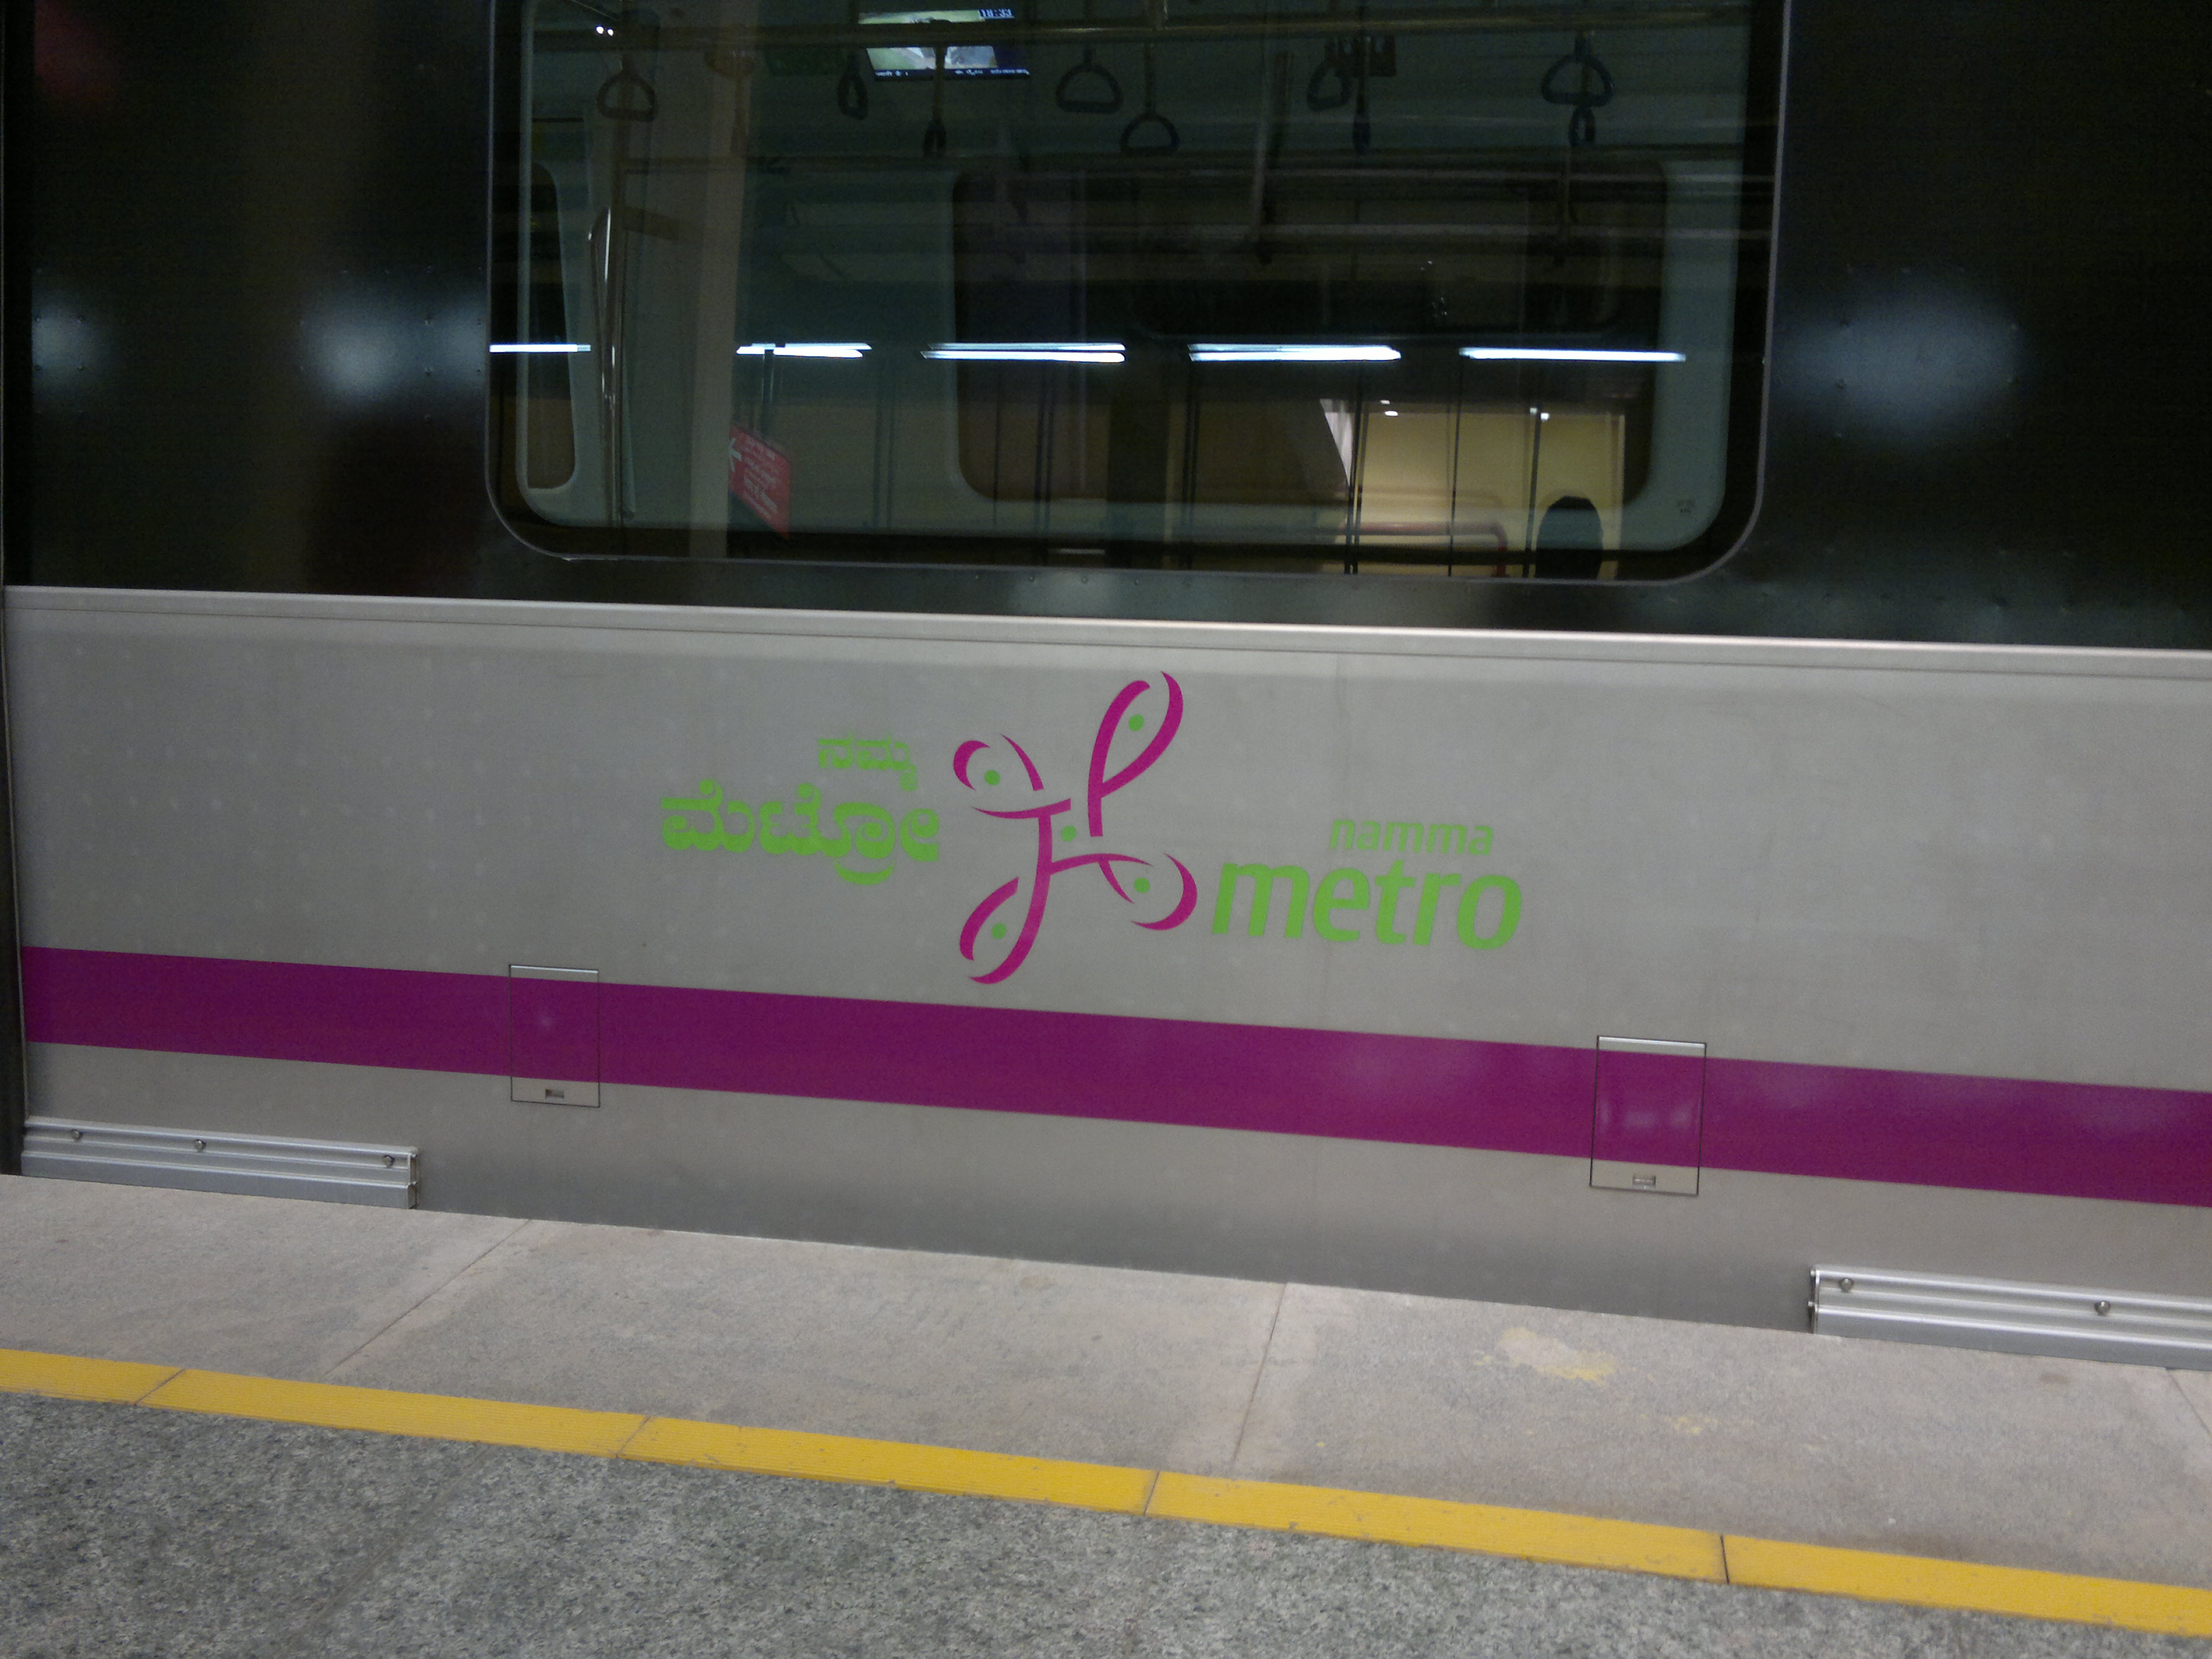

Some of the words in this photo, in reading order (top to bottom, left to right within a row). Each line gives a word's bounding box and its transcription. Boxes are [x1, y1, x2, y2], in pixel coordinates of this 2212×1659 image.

[811, 723, 926, 808] ನಮ್ಯ
[650, 770, 946, 894] ಮಟ್ರೋ
[1316, 806, 1500, 866] namma
[1201, 862, 1533, 959] metro